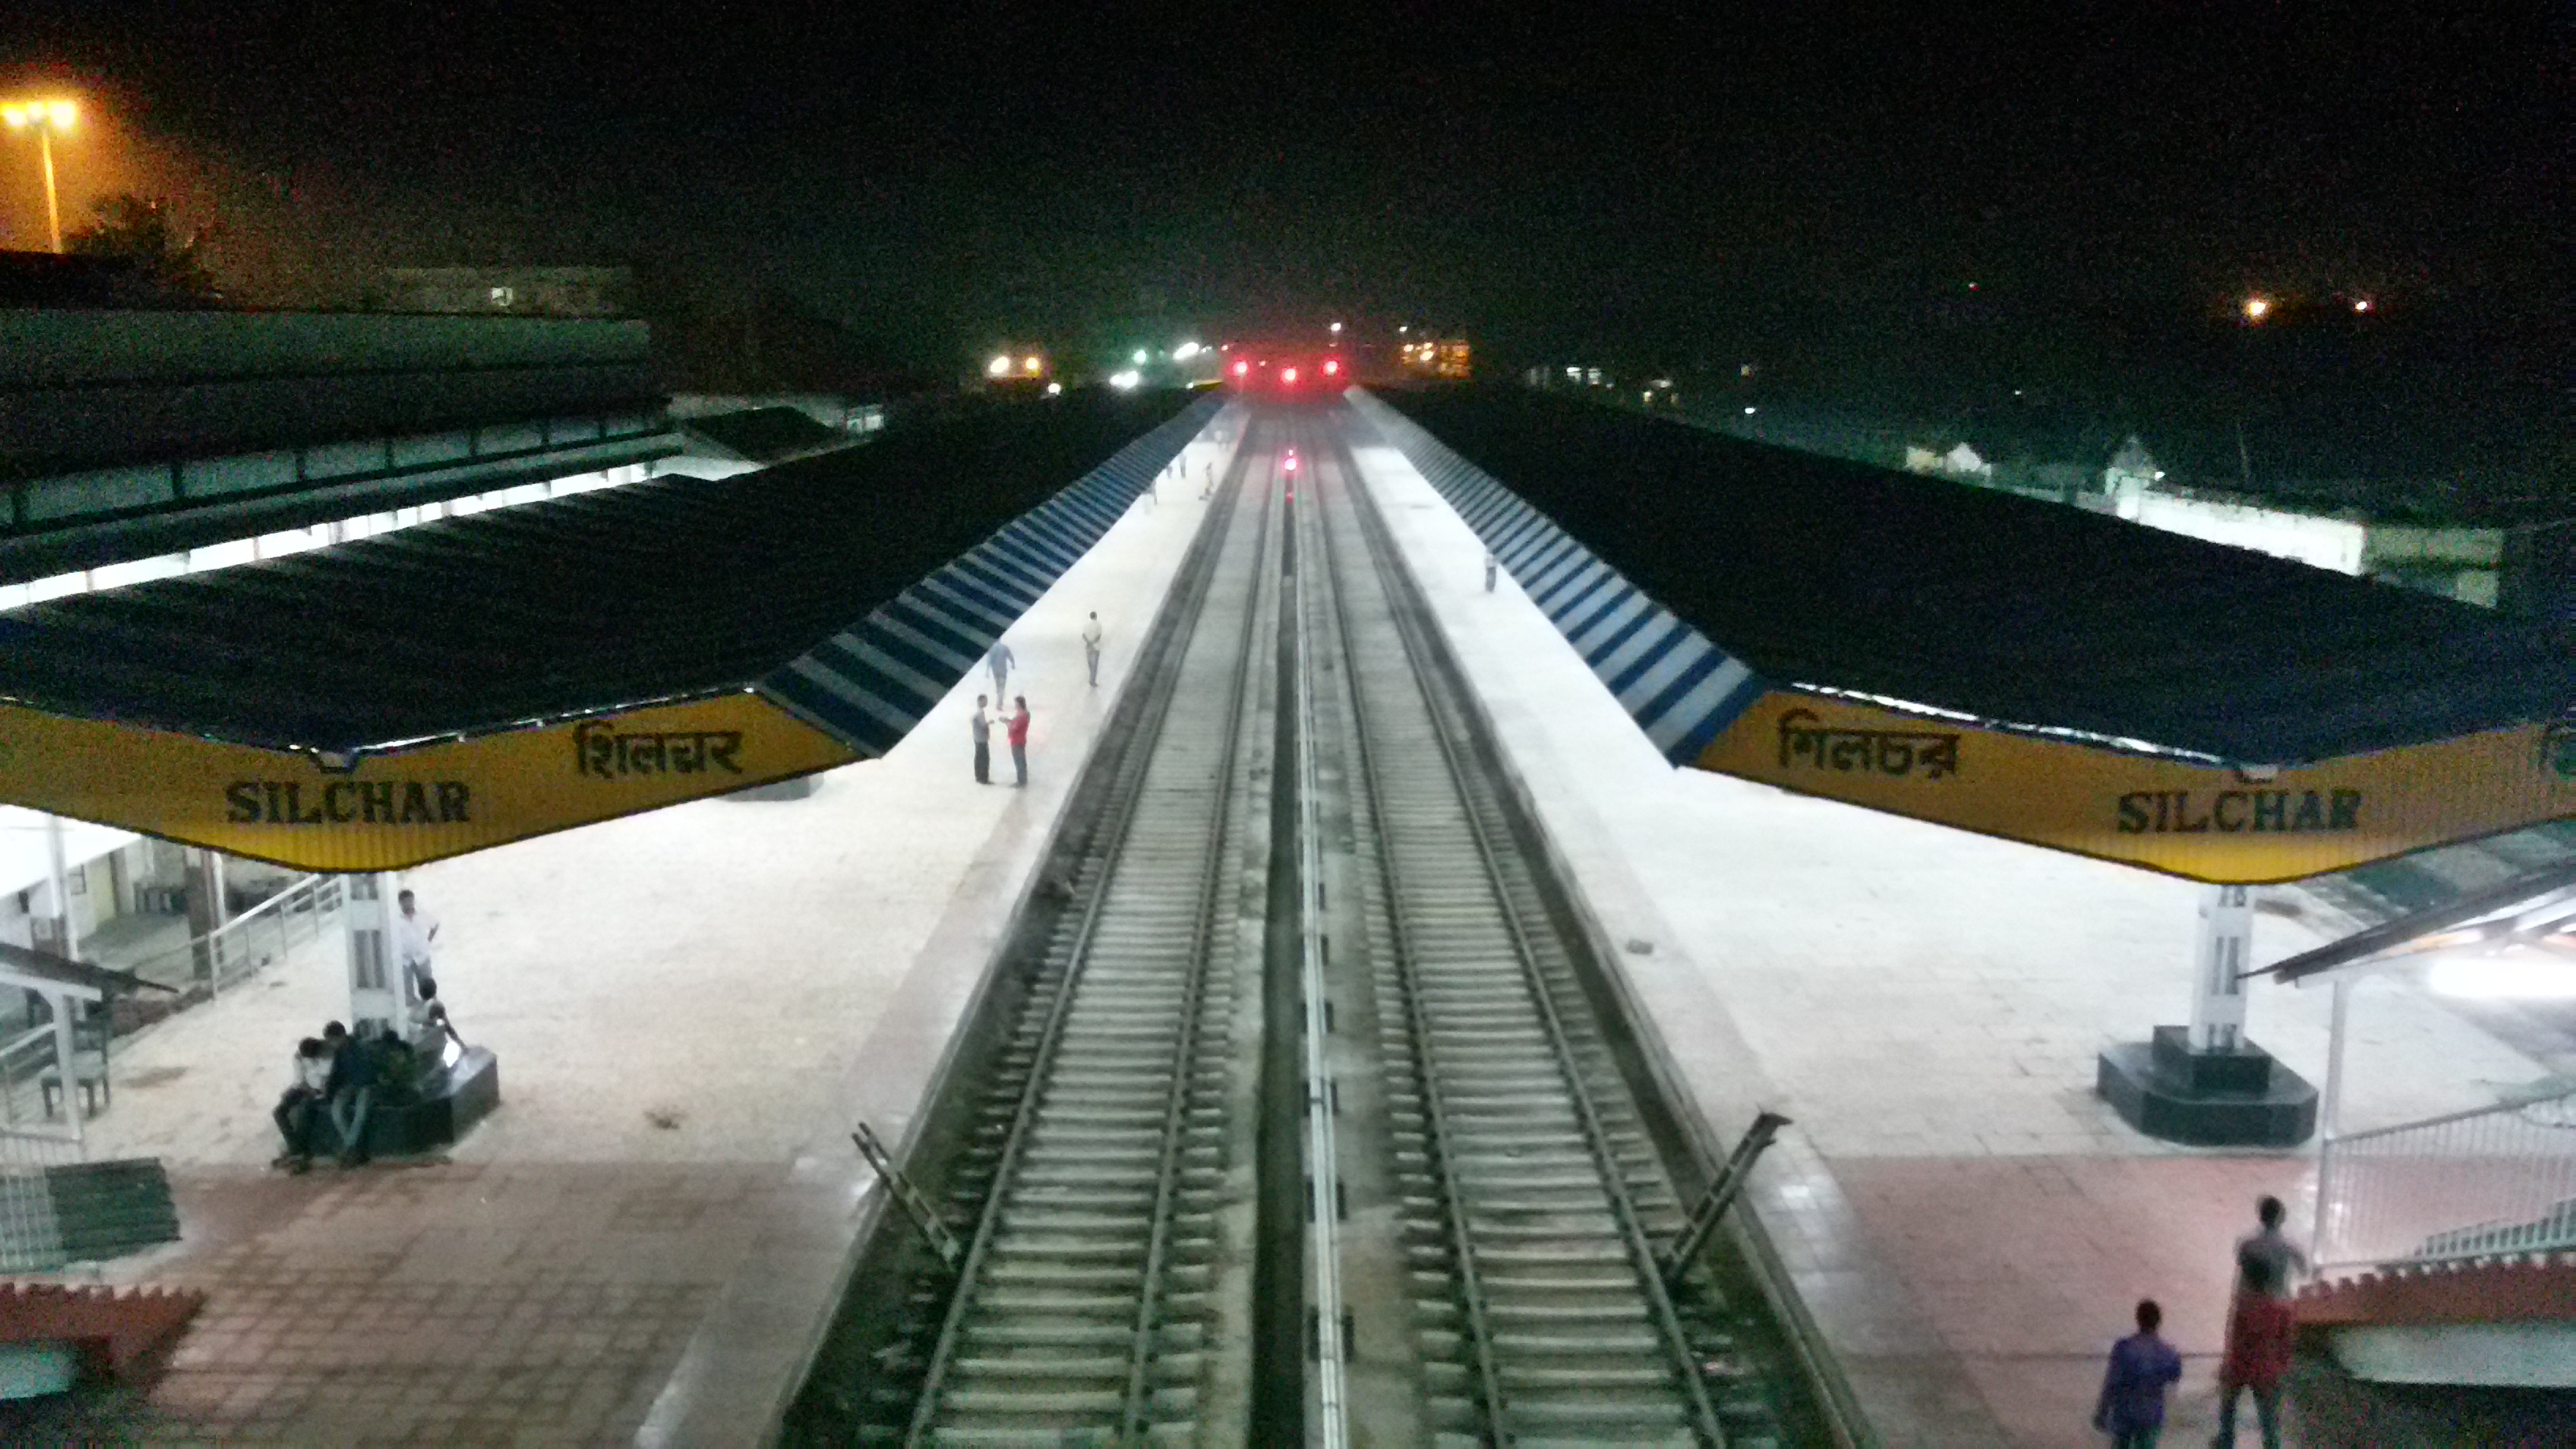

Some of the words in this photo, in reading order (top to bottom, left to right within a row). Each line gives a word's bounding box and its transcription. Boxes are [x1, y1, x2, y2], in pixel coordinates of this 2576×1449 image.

[549, 698, 750, 787] शिलचर
[1758, 692, 1967, 788] শিলচর
[217, 766, 481, 838] SILCHAR
[2110, 773, 2373, 838] SILCHAR